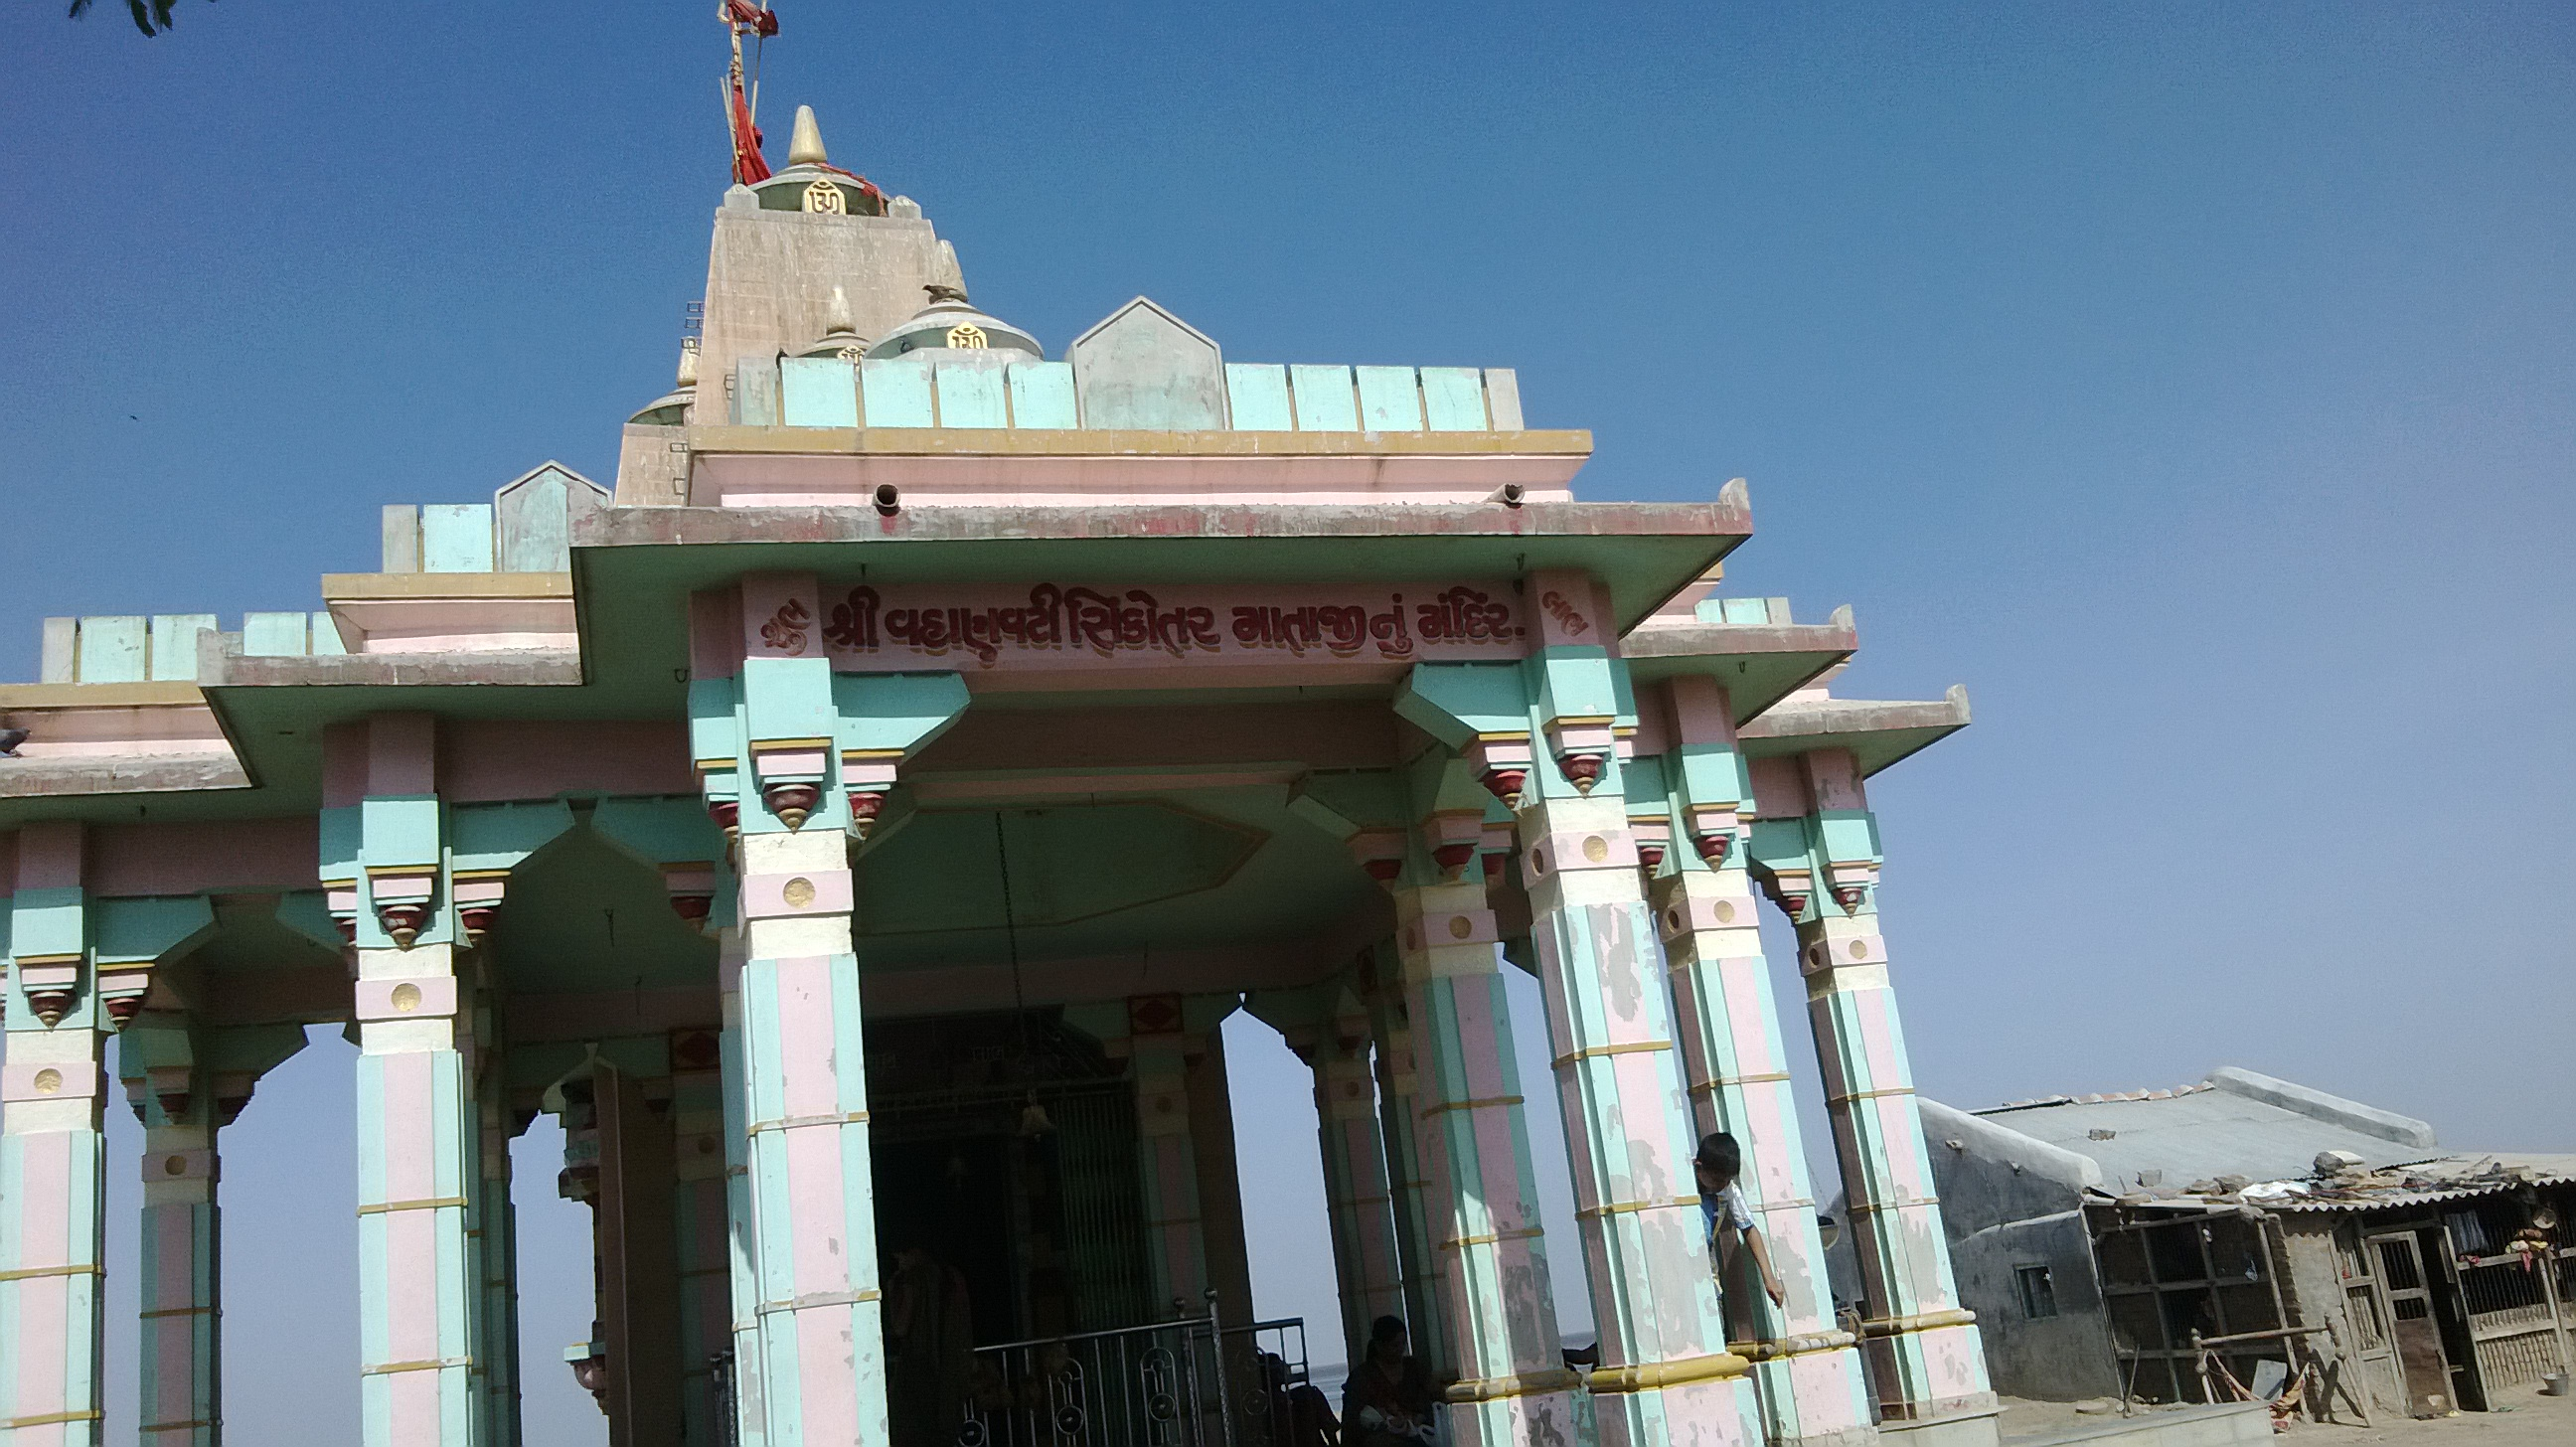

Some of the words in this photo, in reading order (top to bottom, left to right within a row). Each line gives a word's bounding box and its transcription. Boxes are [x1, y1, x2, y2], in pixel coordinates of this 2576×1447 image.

[804, 179, 848, 215] ૐ
[757, 592, 819, 658] શુભ
[824, 579, 890, 659] શ્રી
[884, 571, 1069, 667] વહાણવટી
[1047, 576, 1222, 661] શિકોતર
[1221, 584, 1411, 661] માતાજીનું
[1411, 576, 1522, 659] મંદિર.
[1538, 585, 1596, 641] લાભ